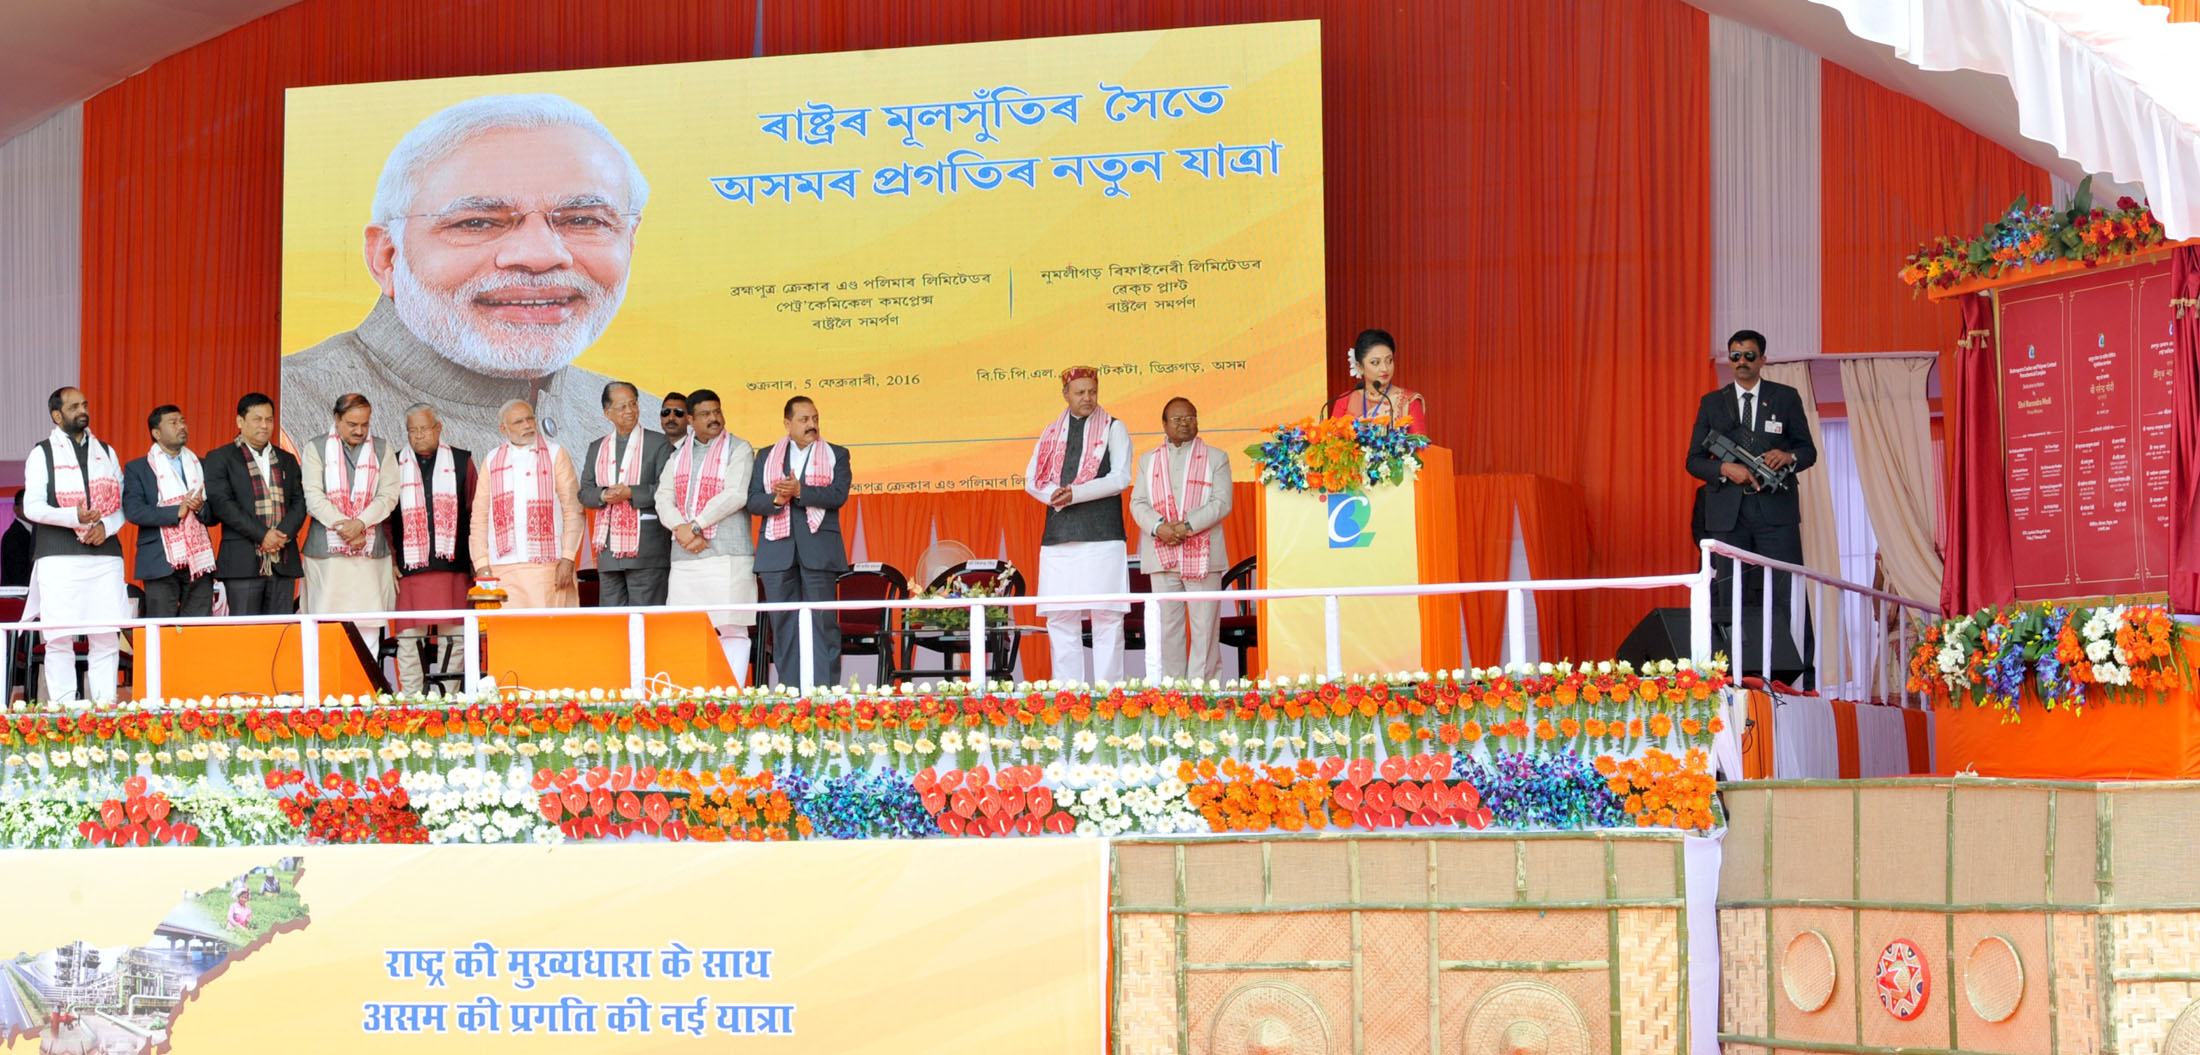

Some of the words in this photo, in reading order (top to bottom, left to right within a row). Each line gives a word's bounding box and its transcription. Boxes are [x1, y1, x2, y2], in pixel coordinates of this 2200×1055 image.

[1092, 73, 1238, 131] সৈতে
[753, 94, 872, 151] ৰাষ্ট্ৰৰ
[879, 78, 1087, 154] মূলসুঁতিৰ
[872, 141, 1047, 201] প্ৰগতিৰ
[1050, 147, 1170, 202] নতুন
[1179, 138, 1283, 178] যাত্রা
[707, 165, 862, 213] অসমৰ
[726, 280, 775, 301] ব্রহ্মপুত্র
[779, 277, 828, 298] ক্রেকার
[771, 289, 876, 317] পেট্ৰ'কেমিকেল
[805, 311, 855, 336] ৰাষ্ট্ৰলৈ
[829, 269, 865, 294] এণ্ড
[853, 305, 902, 335] সমৰ্পণ
[865, 271, 915, 292] পলিমাৰ
[873, 287, 940, 311] কমপ্লেক্স
[920, 269, 991, 290] লিমিটেডব
[1038, 259, 1109, 290] নুমলীগড়
[1106, 297, 1149, 317] বাষ্ট্রলৈ
[1113, 281, 1149, 298] রেক্ট
[1107, 255, 1185, 280] বিফাইনেৰী
[1154, 277, 1190, 297] প্লান্ট
[1154, 295, 1196, 312] সমৰ্পণ
[1186, 254, 1262, 277] লিমিটেডব
[742, 372, 796, 399] শুক্রবার,
[816, 371, 877, 393] ফেব্রুরাধী
[882, 371, 924, 390] 2016
[969, 361, 1057, 384] বি.চি.পি.এল.
[1094, 358, 1146, 380] পটকটা
[1149, 358, 1200, 376] ডিব্ৰুগড়
[1208, 352, 1253, 376] অসম
[847, 476, 888, 496] হ্মপত্র
[884, 476, 937, 497] ক্রেকাৰ
[931, 472, 962, 494] এণ্ড
[956, 467, 1015, 495] পলিমাৰ
[379, 942, 458, 996] राष्ट्र
[448, 937, 500, 983] की
[501, 942, 657, 998] मुख्यधारा
[657, 942, 692, 979] के
[699, 945, 773, 982] साथ
[358, 998, 447, 1036] असम
[450, 993, 504, 1036] की
[507, 996, 597, 1035] प्रगति
[603, 992, 655, 1039] क‍ी
[654, 988, 715, 1042] नई
[715, 999, 798, 1039] यात्रा